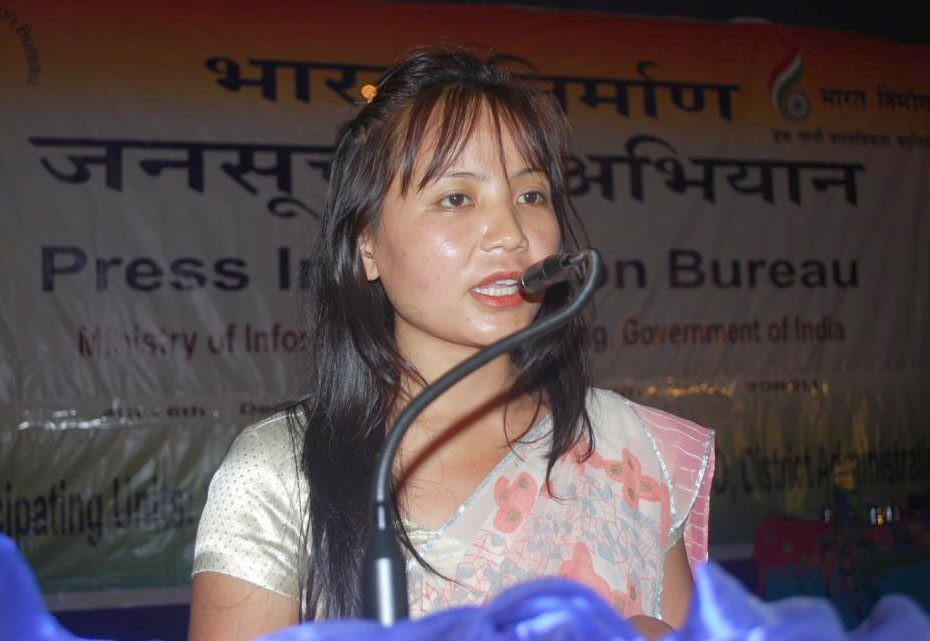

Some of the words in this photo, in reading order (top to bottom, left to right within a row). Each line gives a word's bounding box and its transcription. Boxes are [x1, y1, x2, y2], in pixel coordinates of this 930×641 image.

[199, 51, 395, 109] भारत
[470, 46, 743, 129] र्माण
[818, 82, 871, 117] भारत
[870, 75, 928, 113] निर्मा
[22, 133, 326, 227] जनसू
[559, 126, 868, 210] अभियान
[37, 240, 250, 296] Press
[602, 246, 656, 299] n
[664, 245, 865, 293] Bureau
[617, 312, 765, 348] Government
[764, 312, 792, 350] of
[791, 313, 850, 348] India
[735, 441, 819, 498] District